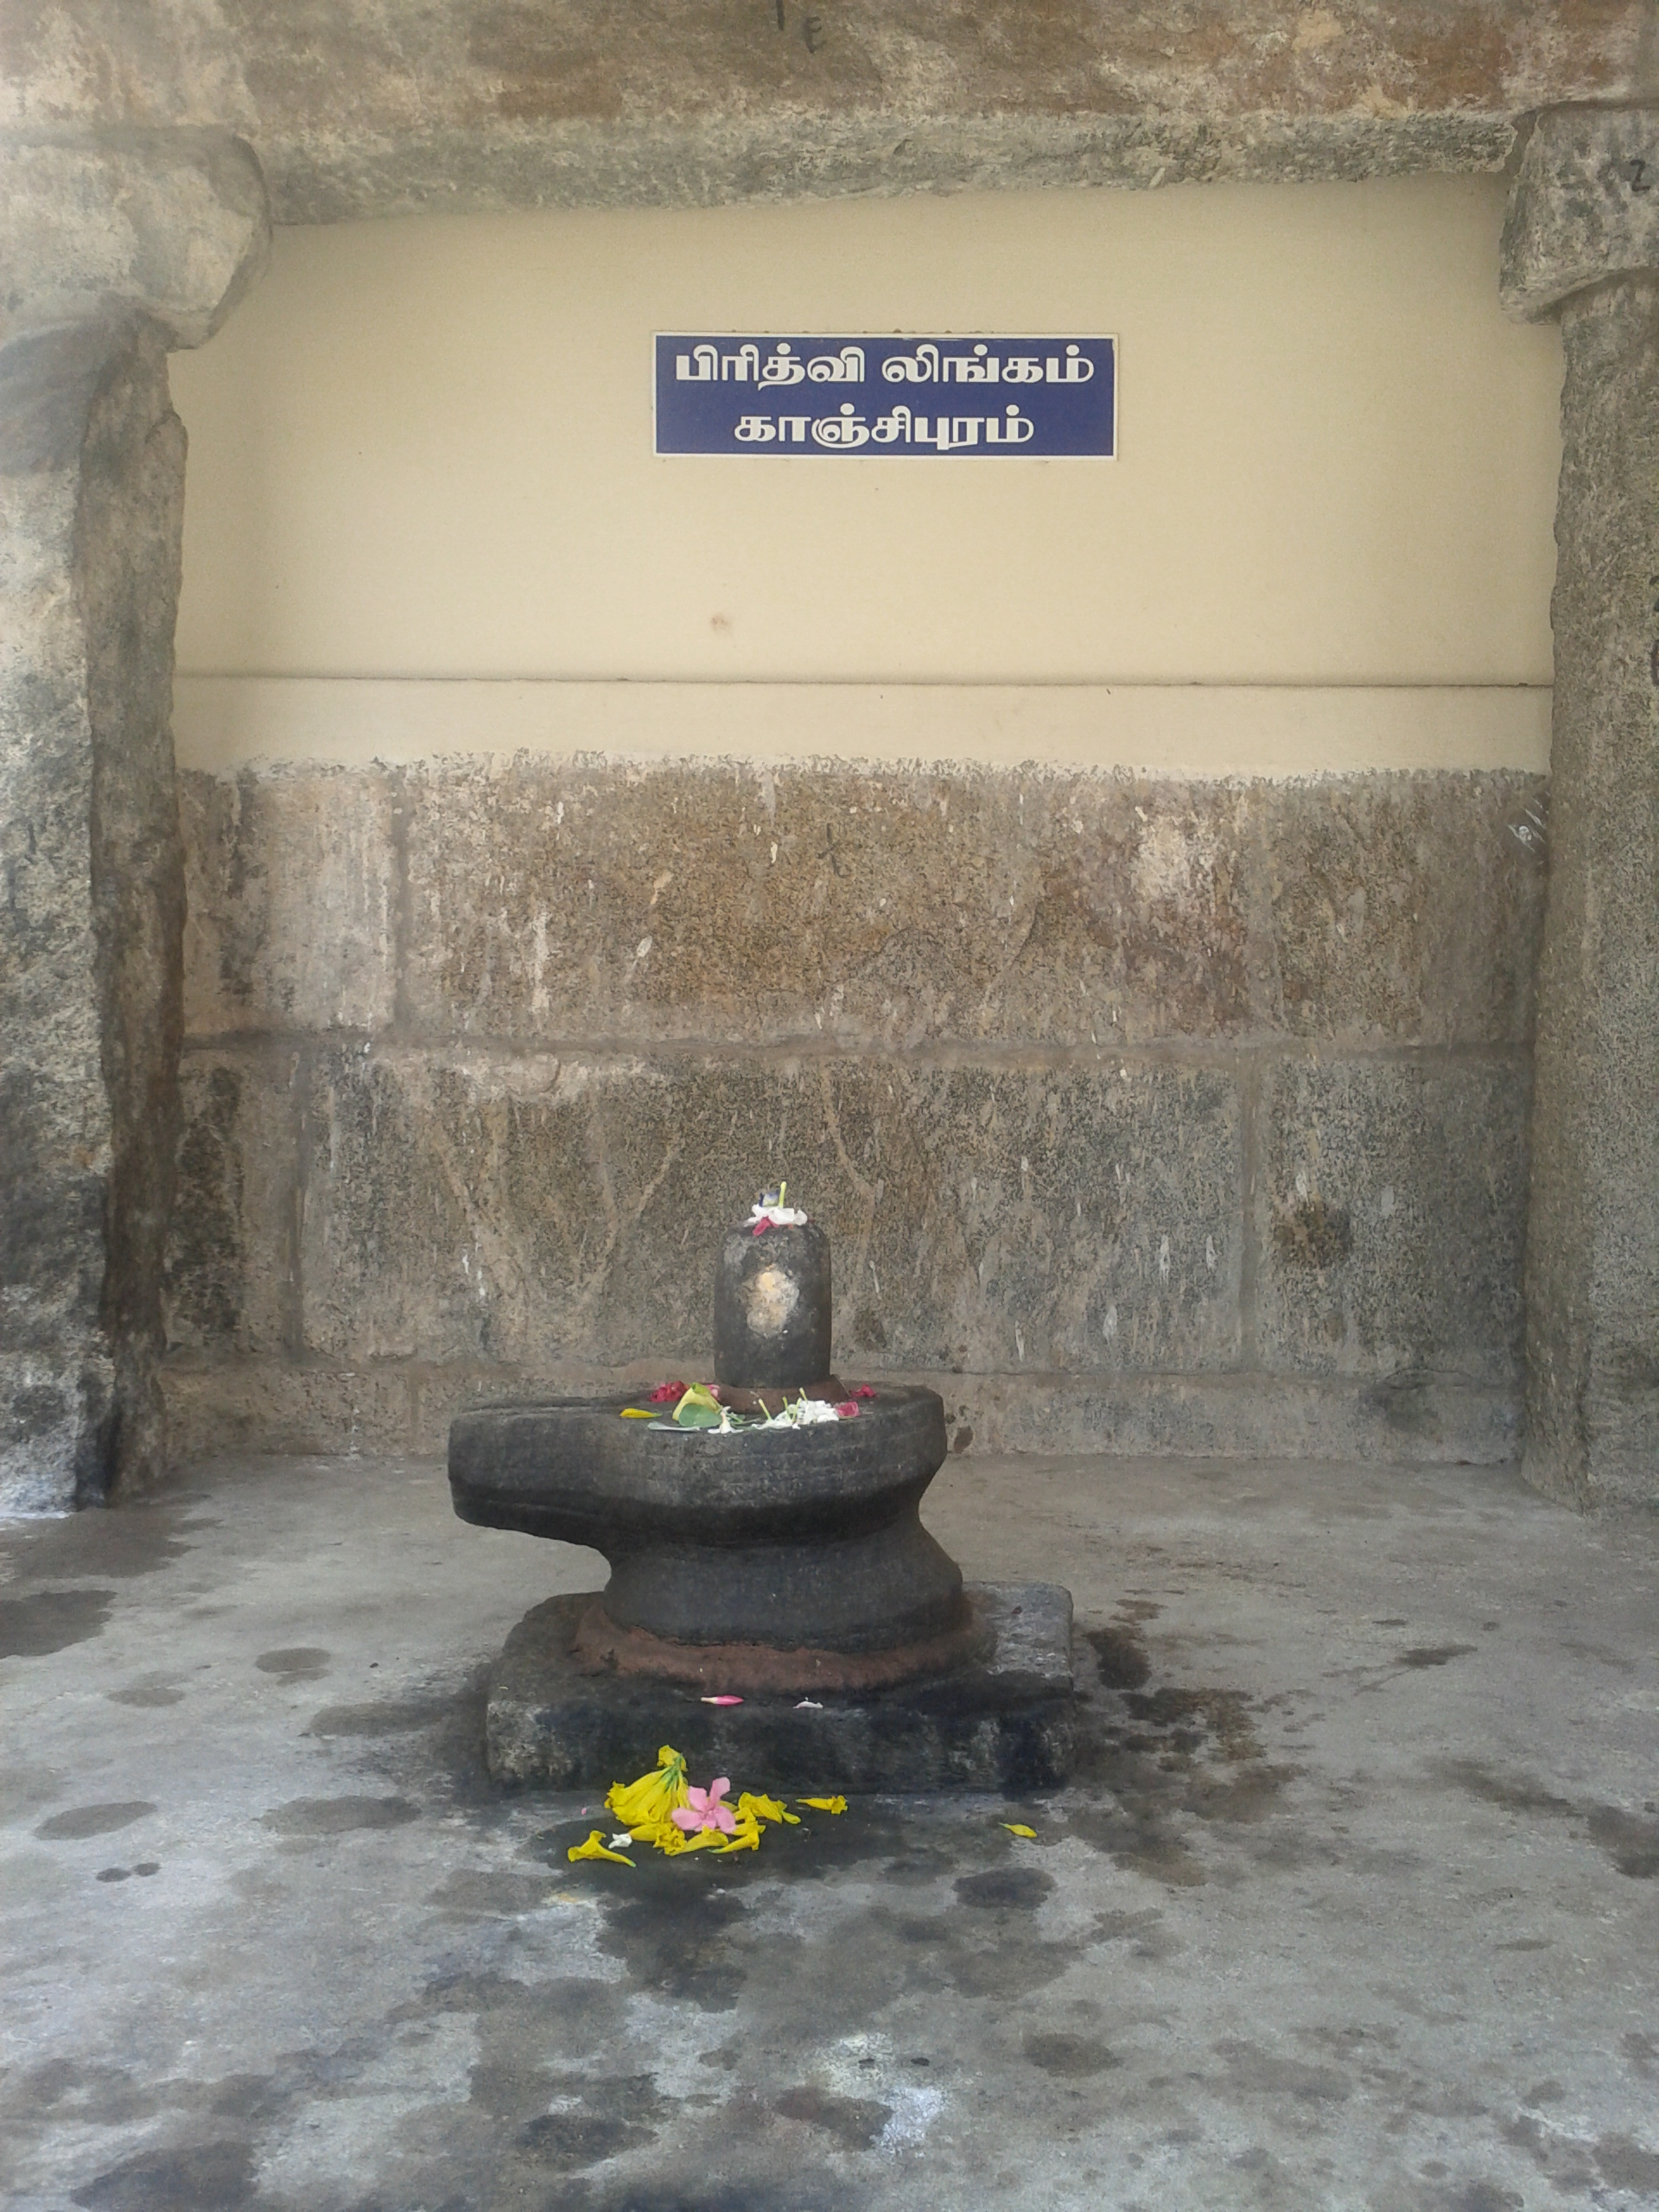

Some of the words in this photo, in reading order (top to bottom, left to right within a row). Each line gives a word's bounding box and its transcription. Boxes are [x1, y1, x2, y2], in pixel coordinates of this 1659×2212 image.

[673, 336, 869, 395] பிாித்வி
[880, 334, 1096, 387] லிங்கம்
[730, 397, 1044, 456] காஞ்சிபுரம்